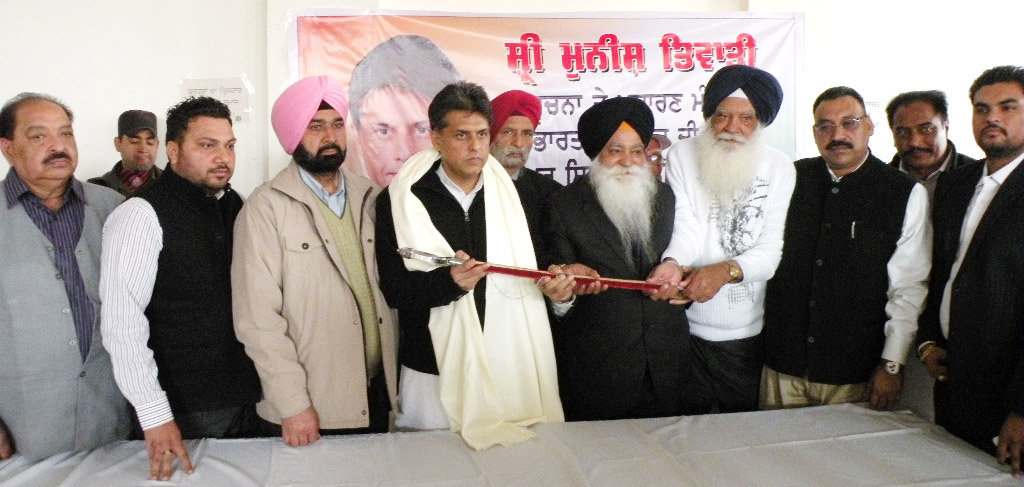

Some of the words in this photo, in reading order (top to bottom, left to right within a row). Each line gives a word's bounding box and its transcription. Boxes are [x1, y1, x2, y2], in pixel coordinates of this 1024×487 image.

[496, 27, 553, 92] मूी
[552, 29, 653, 86] ਮੂਨੀਸ
[655, 27, 767, 77] ਤਿਵਾਤੀ
[543, 91, 588, 121] ਚਨਾ
[654, 89, 687, 120] ਰਣ
[531, 128, 583, 157] ਭਾਰਤ